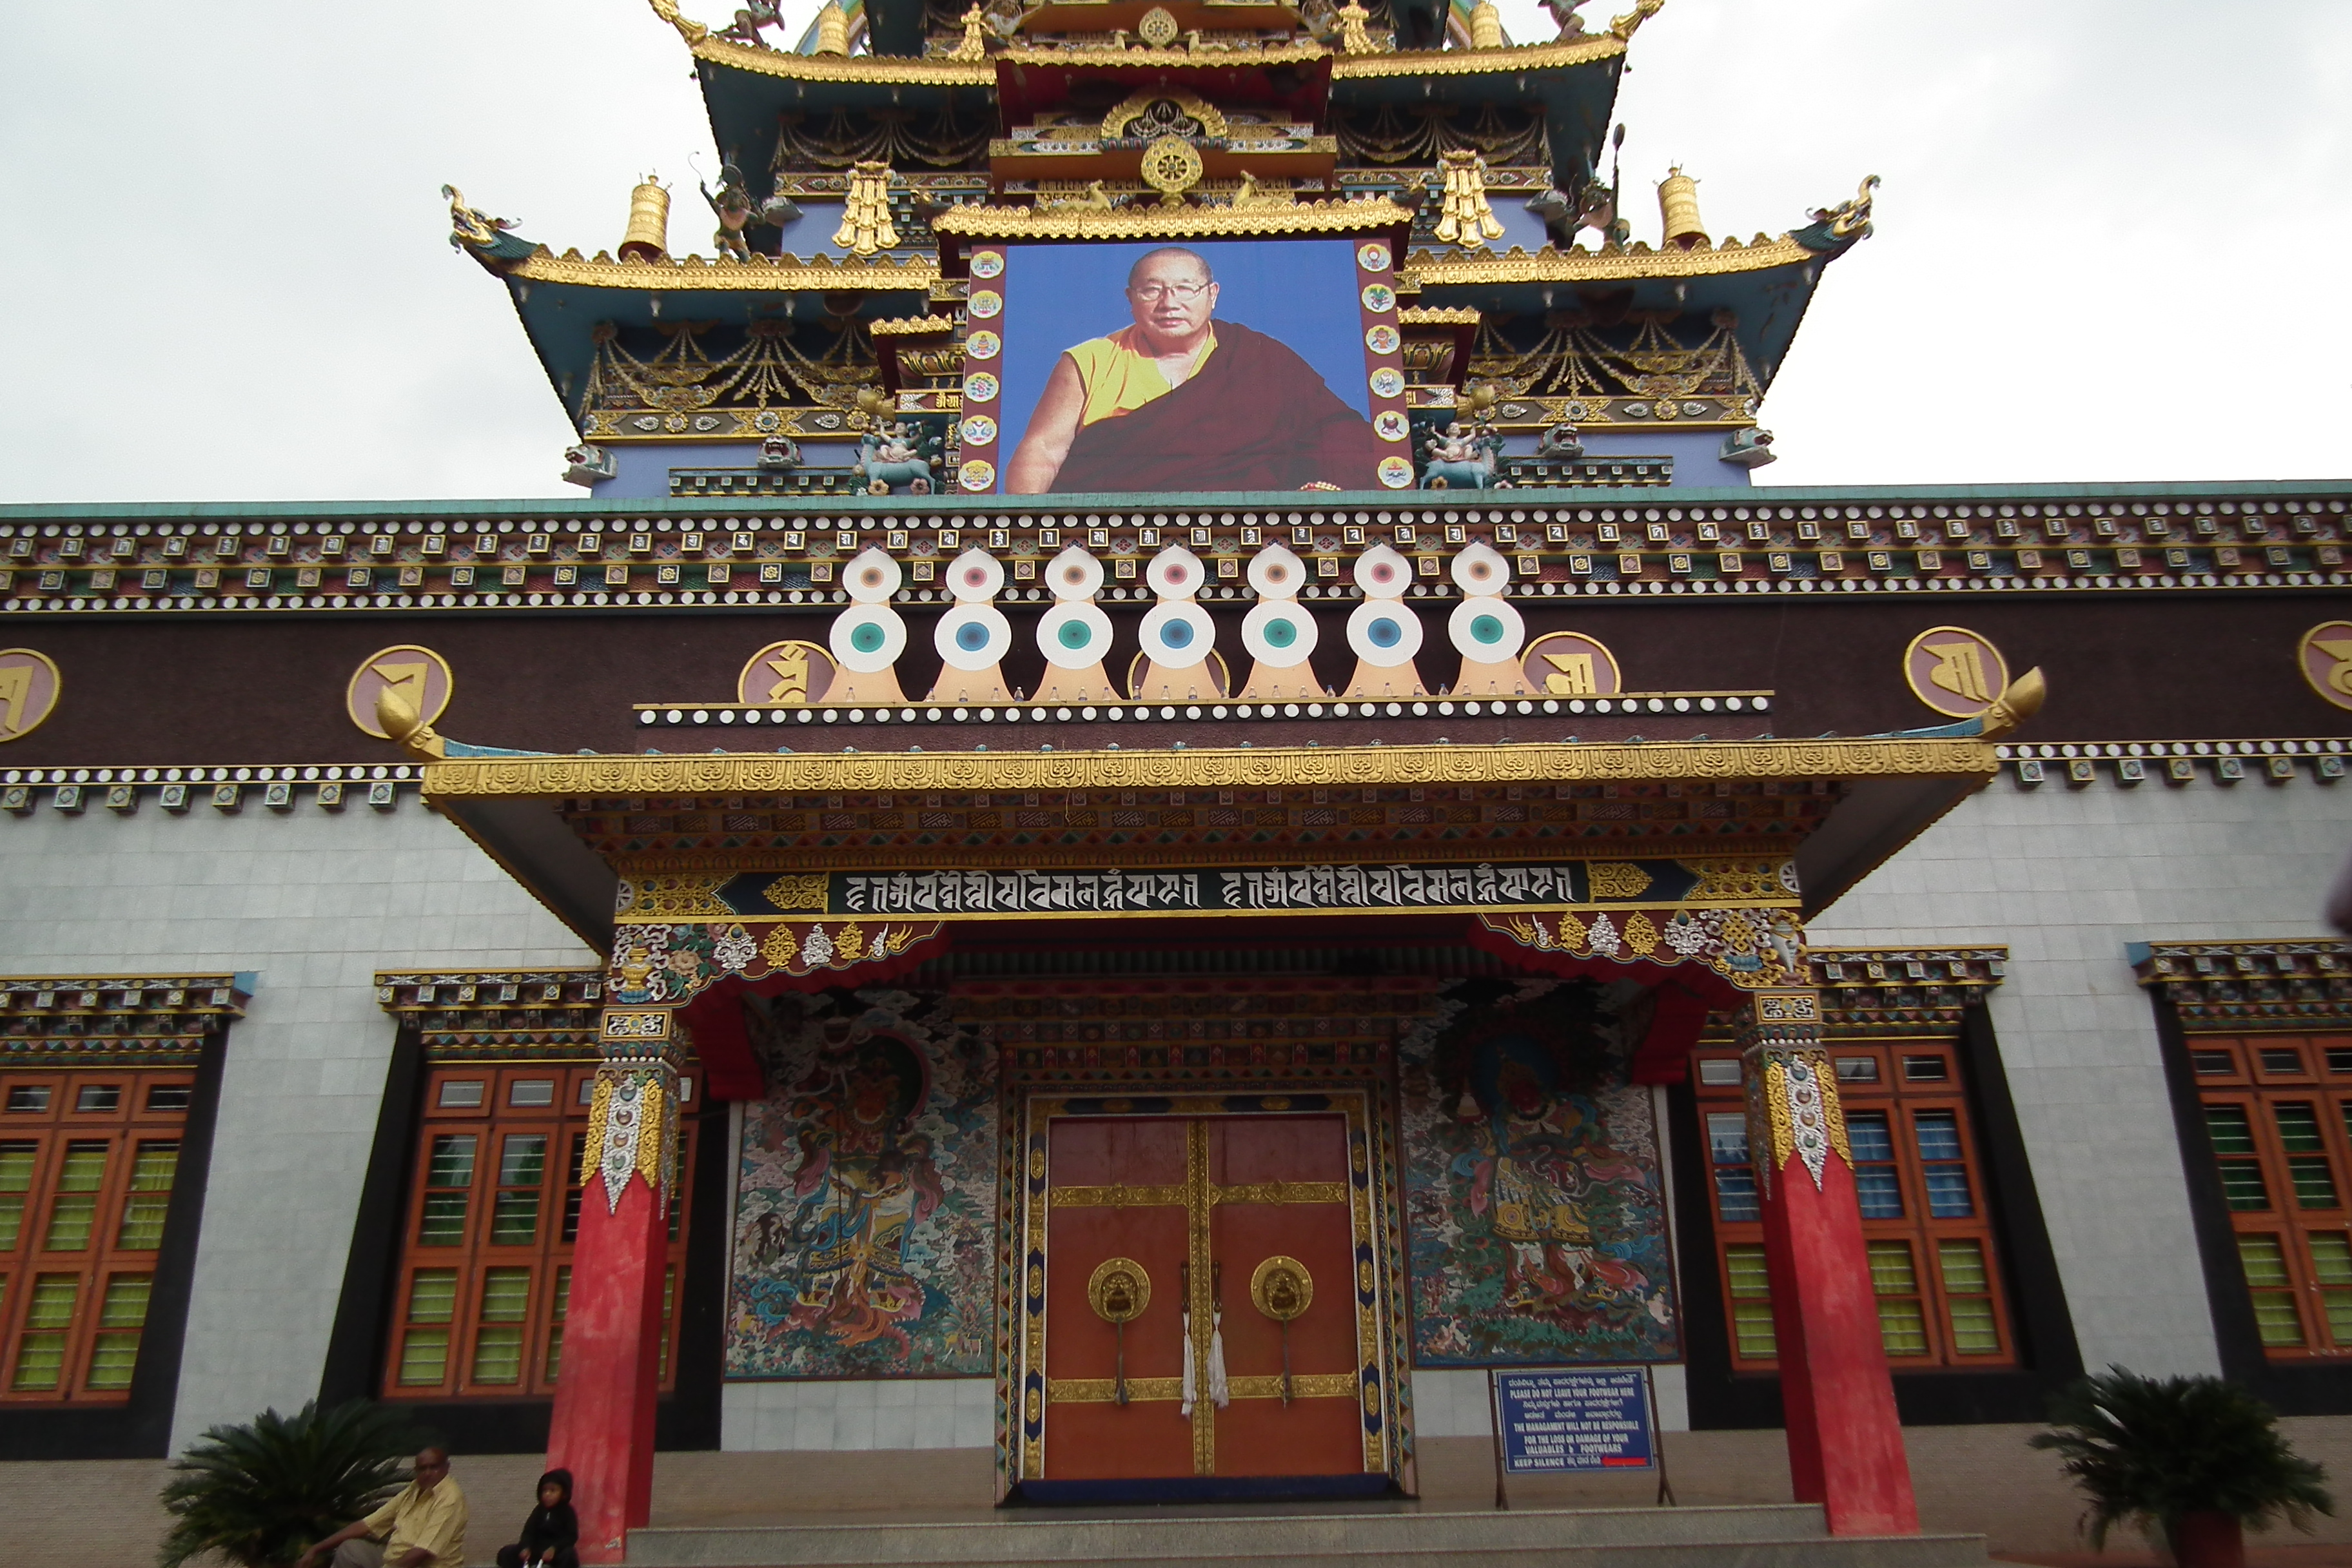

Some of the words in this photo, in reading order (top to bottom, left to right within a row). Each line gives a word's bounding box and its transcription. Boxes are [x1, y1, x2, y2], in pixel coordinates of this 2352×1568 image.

[1507, 1387, 1534, 1402] PLEASE
[1527, 1387, 1543, 1402] DO
[1540, 1386, 1555, 1404] NOT
[1549, 1385, 1575, 1402] LEAVE
[1569, 1386, 1591, 1400] YOUR
[1585, 1382, 1620, 1400] FOOTWEAR
[1582, 1396, 1625, 1409] ಪಾದರಕ್ಷೆಗಳಗೆ
[1616, 1386, 1638, 1402] HERE
[1552, 1407, 1579, 1424] chocks
[1513, 1418, 1529, 1435] THE
[1525, 1418, 1567, 1433] MANAGAMENT
[1563, 1419, 1582, 1434] WILL
[1577, 1418, 1594, 1435] NOT
[1589, 1418, 1602, 1435] BE
[1599, 1417, 1641, 1435] RESPONSIBLE
[1519, 1432, 1538, 1451] FOR
[1535, 1433, 1554, 1449] THE
[1524, 1442, 1566, 1456] VALUABLES
[1547, 1432, 1568, 1447] LOSS
[1564, 1432, 1577, 1447] OR
[1573, 1431, 1605, 1449] DAMAGE
[1578, 1440, 1625, 1457] FOOTWEARS
[1608, 1431, 1632, 1445] YOUR
[1511, 1455, 1535, 1472] KEEP
[1531, 1455, 1566, 1471] SILENCE